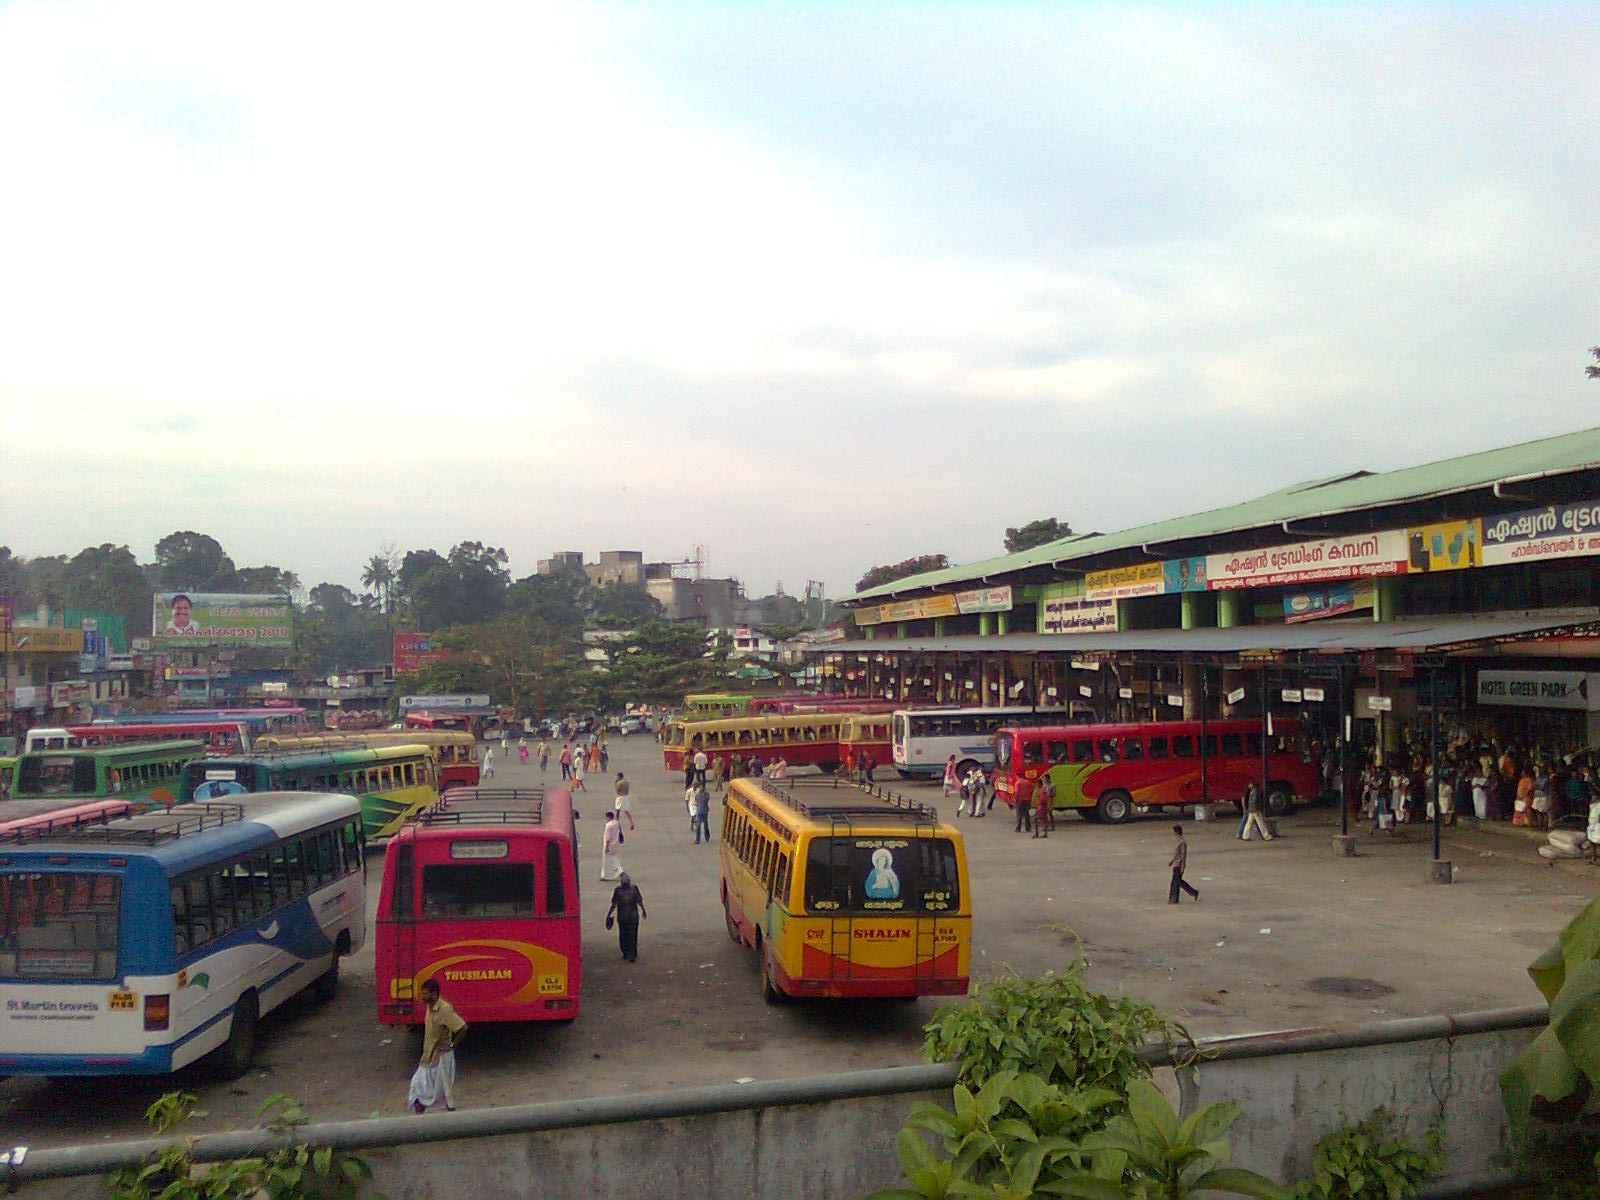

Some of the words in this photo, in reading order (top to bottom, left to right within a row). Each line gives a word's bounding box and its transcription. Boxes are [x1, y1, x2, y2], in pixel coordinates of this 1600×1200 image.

[1479, 505, 1563, 546] ഏഷ്യൻ
[1223, 546, 1269, 576] ഏഷ്യൻ
[1269, 533, 1328, 571] ട്രേഡിംഗ്
[1293, 561, 1355, 585] ഹോൾസെയിൽ
[1326, 532, 1383, 564] കമ്പനി
[1505, 534, 1579, 563] ഹാർഡ്‌വെയർ
[247, 623, 291, 645] 2016
[1477, 677, 1512, 703] HOTEL
[1505, 677, 1541, 699] GREEN
[1537, 678, 1570, 702] PARK
[850, 922, 913, 943] SHALIN
[443, 964, 517, 986] THUSHARAM